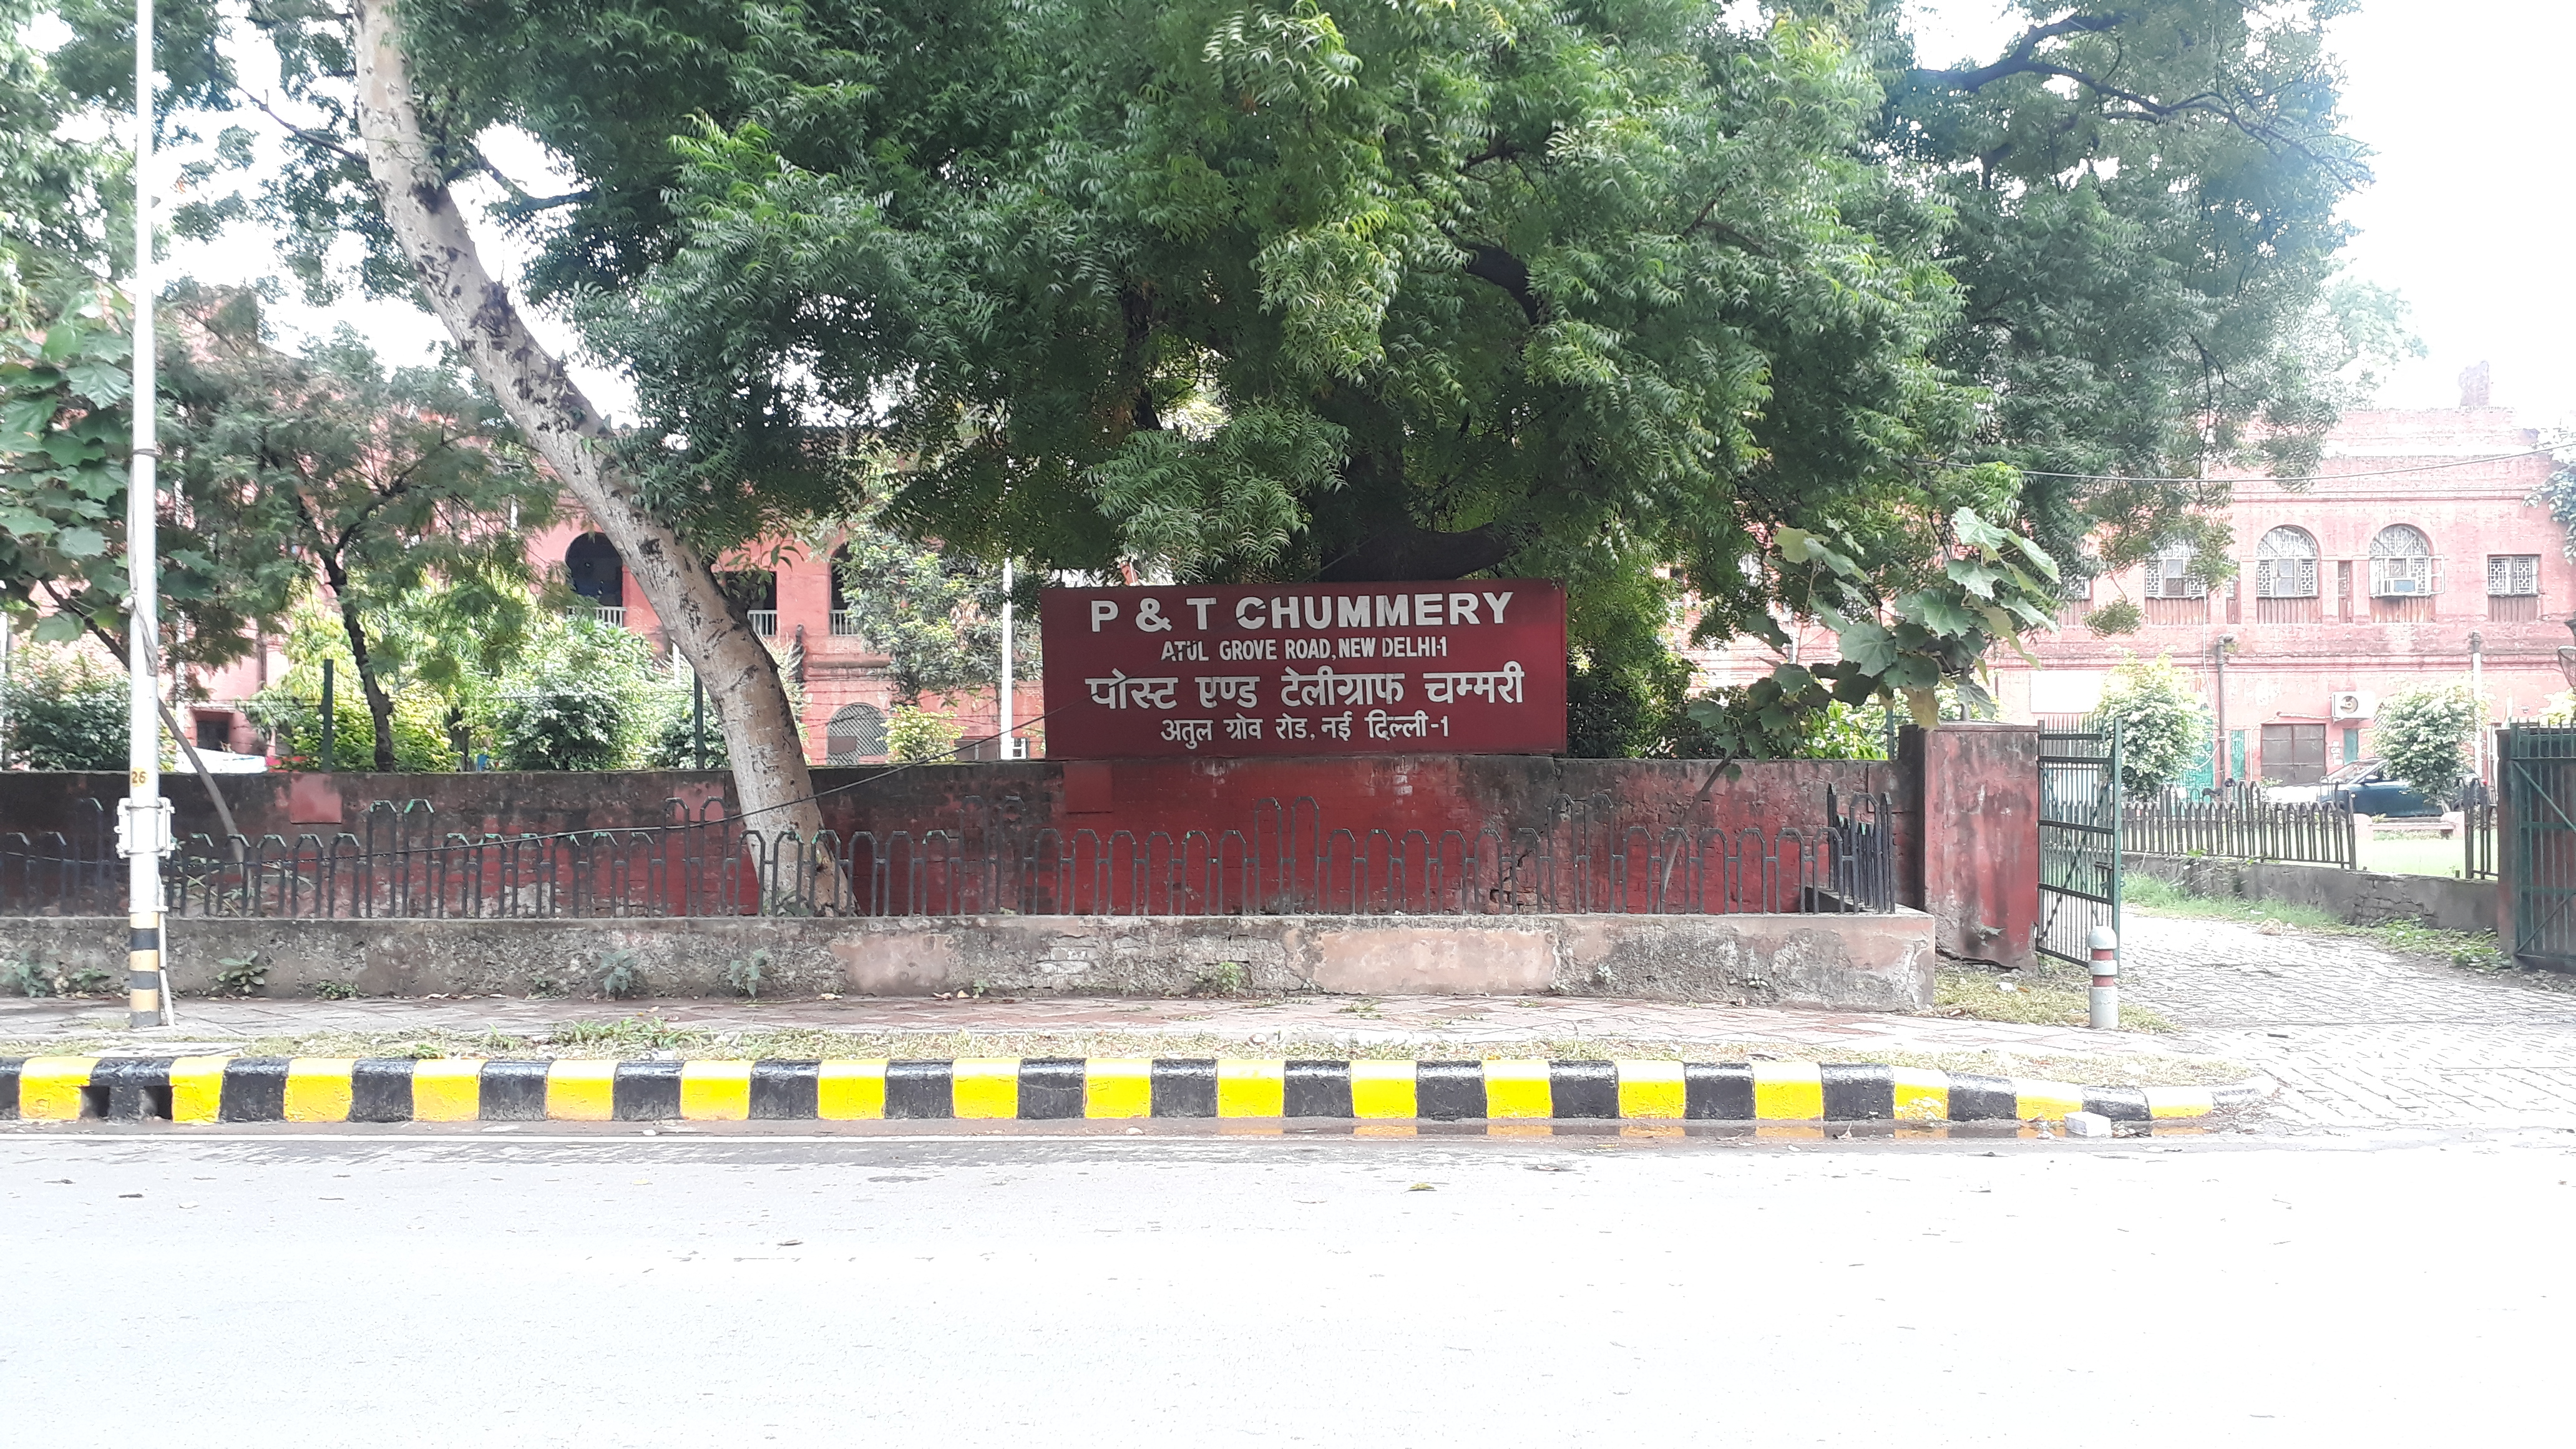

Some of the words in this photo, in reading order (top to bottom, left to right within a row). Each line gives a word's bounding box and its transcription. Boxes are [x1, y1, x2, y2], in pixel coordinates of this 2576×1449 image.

[1083, 597, 1121, 636] P
[1135, 597, 1175, 633] &
[1181, 596, 1219, 631] T
[1231, 590, 1516, 634] CHUMMERY
[1158, 638, 1211, 664] ATUL
[1217, 637, 1280, 663] GROVE
[1281, 636, 1334, 665] ROAD
[1335, 637, 1378, 662] NEW
[1380, 633, 1451, 660] DELHI-1
[1079, 665, 1181, 715] पोस्ट
[1194, 673, 1264, 712] एण्ड
[1276, 660, 1408, 711] टेलीग्राफ
[1421, 654, 1528, 708] चम्मरी
[1156, 714, 1215, 756] अतुल
[1222, 706, 1266, 744] ग्रोव
[1274, 708, 1310, 744] रोड
[1321, 708, 1355, 747] नई
[1360, 701, 1431, 746] दिल्ली